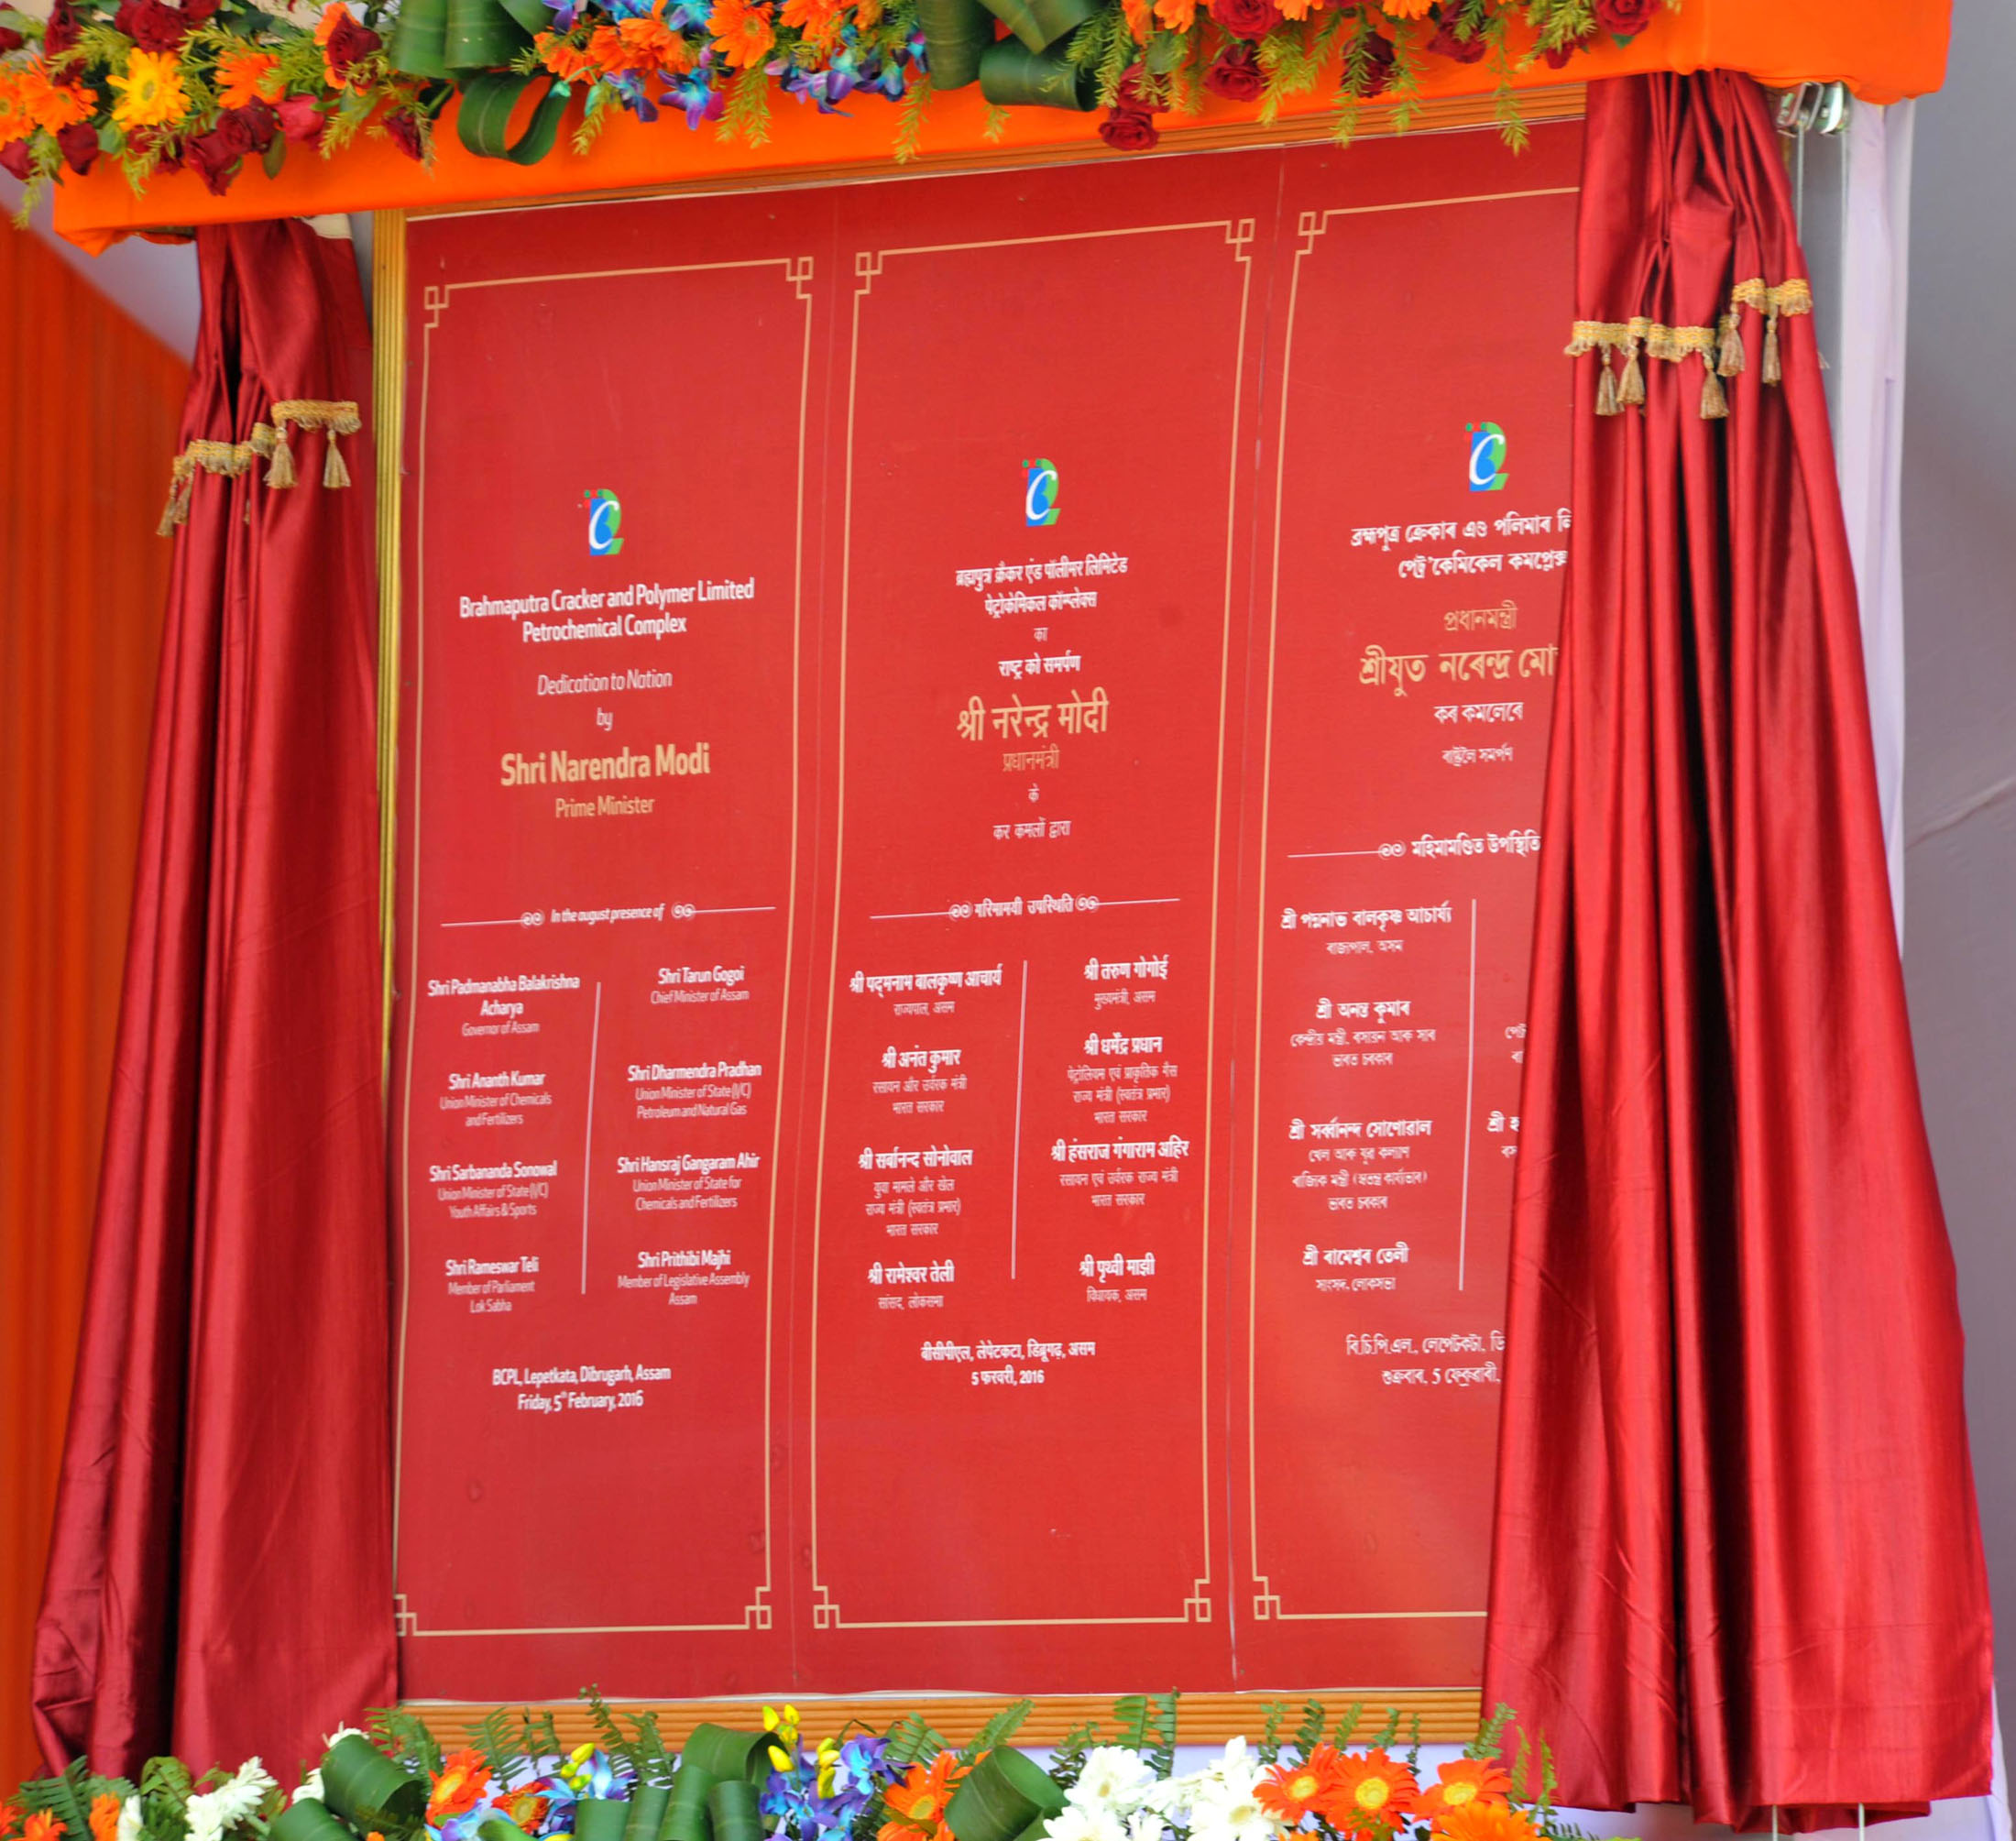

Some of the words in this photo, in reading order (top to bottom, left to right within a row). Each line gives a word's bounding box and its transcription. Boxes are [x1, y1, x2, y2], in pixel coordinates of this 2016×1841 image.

[1346, 518, 1408, 559] ব্রহ্মপুত্র
[1397, 515, 1463, 544] ক্ৰেকৰ
[1456, 515, 1496, 544] এণ্ড
[1482, 504, 1556, 539] পলিমাৰ
[455, 585, 555, 624] Brahmaputra
[518, 612, 627, 651] Petrochemical
[544, 582, 611, 617] Cracker
[601, 582, 638, 612] and
[619, 606, 693, 641] Complex
[630, 576, 700, 611] Polymer
[694, 570, 761, 605] Limited
[954, 563, 1003, 599] ब्रह्मपुत्र
[984, 556, 1028, 587] क्रैकर
[974, 586, 1051, 621] पेट्रोकेमिकल
[1019, 553, 1051, 586] एंडप
[1031, 619, 1054, 647] का
[1040, 550, 1090, 584] पॉलीमर
[1043, 582, 1103, 615] कॉम्प्लेक्स
[1076, 548, 1134, 580] लिमिटेड
[1393, 538, 1511, 582] পেট্র কেমিকেল
[1441, 593, 1527, 636] প্ৰধানমন্ত্ৰী
[1502, 543, 1572, 575] কমপ্লেক্স
[534, 663, 613, 700] Dedication
[607, 666, 630, 693] to
[621, 660, 676, 696] Nation
[991, 654, 1030, 683] राष्ट्र
[1021, 644, 1050, 678] को
[1036, 643, 1085, 676] समर्पण
[1348, 630, 1431, 705] শ্রীযুত
[1433, 641, 1513, 689] নৰেন্দ্ৰ
[589, 705, 619, 738] by
[951, 685, 991, 747] श्री
[985, 689, 1057, 741] नरेन्द्र
[1047, 677, 1120, 738] मोदी
[1429, 696, 1460, 729] কৰ
[1457, 696, 1529, 729] কমলেৰে
[493, 743, 553, 794] Shri
[541, 740, 661, 786] Narendra
[647, 729, 718, 783] Modi
[994, 733, 1066, 777] प्रधानमंत्री
[1432, 738, 1481, 773] ৰাষ্ট্ৰলৈ
[1473, 738, 1519, 768] সমৰ্পণ
[553, 791, 601, 823] Prime
[595, 789, 660, 820] Minister
[1024, 774, 1045, 807] के
[990, 818, 1015, 846] कर
[1011, 808, 1054, 843] कमलों
[1044, 808, 1077, 841] द्वारा
[1407, 828, 1491, 864] মহিমামণ্ডিত
[1482, 826, 1548, 860] উপস্থিতি
[545, 901, 567, 925] In
[575, 899, 616, 926] august
[608, 898, 657, 925] presence
[649, 894, 671, 925] of
[970, 888, 1029, 921] गरिमामयी
[1023, 888, 1083, 918] उपस्थिति
[1269, 898, 1305, 933] শ্রী
[1297, 905, 1357, 936] পদ্মনাভ
[1348, 899, 1408, 936] বালকৃষ্ণ
[1398, 893, 1460, 928] আচাৰ্য্য
[1372, 933, 1408, 958] অসম
[420, 967, 455, 1000] Shri
[450, 970, 524, 1000] Padmanabha
[477, 995, 530, 1022] Acharya
[514, 966, 586, 996] Balakrishna
[644, 982, 679, 1011] Chief
[650, 963, 685, 989] Shri
[672, 985, 716, 1007] Minister
[679, 957, 717, 989] Tarun
[707, 987, 725, 1006] ofA
[703, 958, 751, 992] Gogai
[712, 981, 753, 1005] Assam
[843, 965, 871, 1000] श्री
[860, 970, 919, 1000] पद्‍मनाभ
[890, 996, 935, 1022] राज्यपाल
[914, 965, 974, 998] बालकृष्णअ
[929, 992, 959, 1018] असम
[959, 955, 1011, 990] आचार्य
[1075, 950, 1107, 989] श्री
[1089, 983, 1134, 1015] मुख्यमंत्री
[1097, 954, 1136, 985] तरुण
[1127, 985, 1160, 1007] असम
[1131, 949, 1175, 987] गोगोई
[1309, 986, 1337, 1025] শ্রী
[1335, 994, 1374, 1025] অনন্ত
[1365, 992, 1418, 1027] কুমাৰ
[444, 1066, 480, 1091] ShriA
[470, 1063, 514, 1091] Ananth
[507, 1062, 548, 1091] Kumar
[619, 1056, 656, 1086] Shri
[631, 1101, 685, 1123] Petroleuma
[630, 1079, 700, 1105] UnionMinister
[646, 1056, 723, 1086] Dharmendra
[691, 1079, 715, 1101] ofS
[696, 1097, 737, 1119] NaturalG
[701, 1079, 737, 1101] State
[724, 1093, 753, 1117] Gas
[714, 1056, 769, 1081] Pradhan
[868, 1075, 904, 1100] रसायन
[875, 1036, 903, 1077] श्री
[887, 1095, 919, 1118] भारत
[895, 1073, 926, 1098] और
[893, 1041, 934, 1073] अनंत
[911, 1095, 951, 1119] सरकार
[916, 1070, 954, 1096] उर्वरक
[924, 1042, 963, 1080] कुमार
[945, 1068, 970, 1095] मंत्री
[1069, 1082, 1099, 1109] राज्य
[1059, 1058, 1110, 1088] पेट्रोलियम
[1079, 1026, 1106, 1062] श्री
[1090, 1083, 1115, 1108] मंत्री
[1086, 1103, 1122, 1128] भारत
[1104, 1059, 1126, 1084] एवं
[1097, 1025, 1134, 1057] धर्मेंद्र
[1112, 1080, 1149, 1106] स्वतंत्र
[1114, 1102, 1152, 1125] सरकार
[1120, 1055, 1164, 1090] प्राकृतिक
[1127, 1028, 1167, 1057] प्रधान
[1143, 1082, 1173, 1102] प्रभार)
[1281, 1111, 1313, 1144] শ্রী
[1285, 1020, 1331, 1051] কেন্দ্ৰীয়
[1306, 1112, 1370, 1146] সৰ্ব্বানন্দ
[1328, 1047, 1363, 1073] ভাৰত
[1353, 1046, 1397, 1071] চৰকাৰ
[1360, 1112, 1438, 1141] সোণোৱাল
[1388, 1023, 1438, 1047] আক সাব
[425, 1156, 463, 1186] ShriS
[450, 1154, 520, 1185] Sarbananda
[507, 1155, 564, 1181] Sonowal
[613, 1146, 648, 1175] ShriH
[628, 1193, 682, 1215] Chemicals
[641, 1147, 686, 1179] Hansraj
[630, 1173, 700, 1196] UnionMinister
[674, 1194, 701, 1211] andF
[689, 1170, 711, 1196] ofS
[677, 1146, 740, 1180] Gangaram
[689, 1187, 742, 1213] Fertilizers
[699, 1168, 735, 1194] Statefo
[724, 1170, 750, 1192] for
[730, 1143, 767, 1171] Ahir
[854, 1140, 881, 1176] श्री
[874, 1139, 925, 1174] सर्वानन्द
[919, 1134, 979, 1171] सोनोवाल
[1046, 1130, 1073, 1170] श्री
[1064, 1132, 1115, 1170] हंसराज
[1108, 1130, 1160, 1163] गंगाराम
[1156, 1128, 1196, 1164] अहिर
[1284, 1163, 1331, 1191] ৰাজ্যিক
[1303, 1138, 1335, 1167] এল
[1325, 1163, 1353, 1194] মন্ত্ৰী
[1320, 1187, 1359, 1216] ভাৰত
[1353, 1186, 1390, 1219] চৰকাৰ
[1383, 1163, 1427, 1189] কার্য্যভাব
[441, 1249, 474, 1279] ShriR
[466, 1254, 523, 1279] Rameswar
[517, 1247, 548, 1277] Teli
[612, 1265, 661, 1293] Member
[632, 1241, 666, 1275] Shri
[657, 1244, 707, 1274] Prithibi
[657, 1267, 713, 1297] Legislative
[697, 1240, 740, 1277] Majhi
[704, 1266, 756, 1291] Assembly
[861, 1254, 892, 1291] श्री
[878, 1249, 933, 1288] रामेश्वर
[922, 1251, 959, 1286] तेली
[1075, 1249, 1099, 1281] श्री
[1092, 1240, 1132, 1286] पृथ्वी
[1124, 1245, 1163, 1281] माझी
[1293, 1238, 1326, 1271] শ্রী
[1310, 1270, 1355, 1295] সাংসদ
[1320, 1242, 1375, 1271] ৰামেশ্বৰ
[1368, 1233, 1415, 1269] তেনী
[663, 1288, 701, 1310] Assam
[871, 1288, 913, 1315] सांसद
[905, 1288, 949, 1315] लोकसभा
[913, 1333, 977, 1366] बीसीपीएल,
[971, 1335, 1026, 1364] लेपेटकटा
[1024, 1329, 1068, 1368] डिब्रूगढ़,
[1064, 1334, 1101, 1361] असम
[1339, 1325, 1421, 1357] বিচিপিএল,
[1417, 1328, 1491, 1357] লেপেটকটা
[487, 1361, 525, 1386] BCPL
[518, 1361, 586, 1389] Lepetkata,
[578, 1359, 641, 1387] Dibrugarh,
[629, 1357, 675, 1386] Assam
[1376, 1362, 1432, 1391] শুক্ৰবাৰ
[1425, 1354, 1504, 1390] 5 ফেব্রুৱাবী,
[514, 1390, 562, 1418] Friday,5
[552, 1384, 622, 1416] 5th February
[615, 1381, 650, 1410] 2016